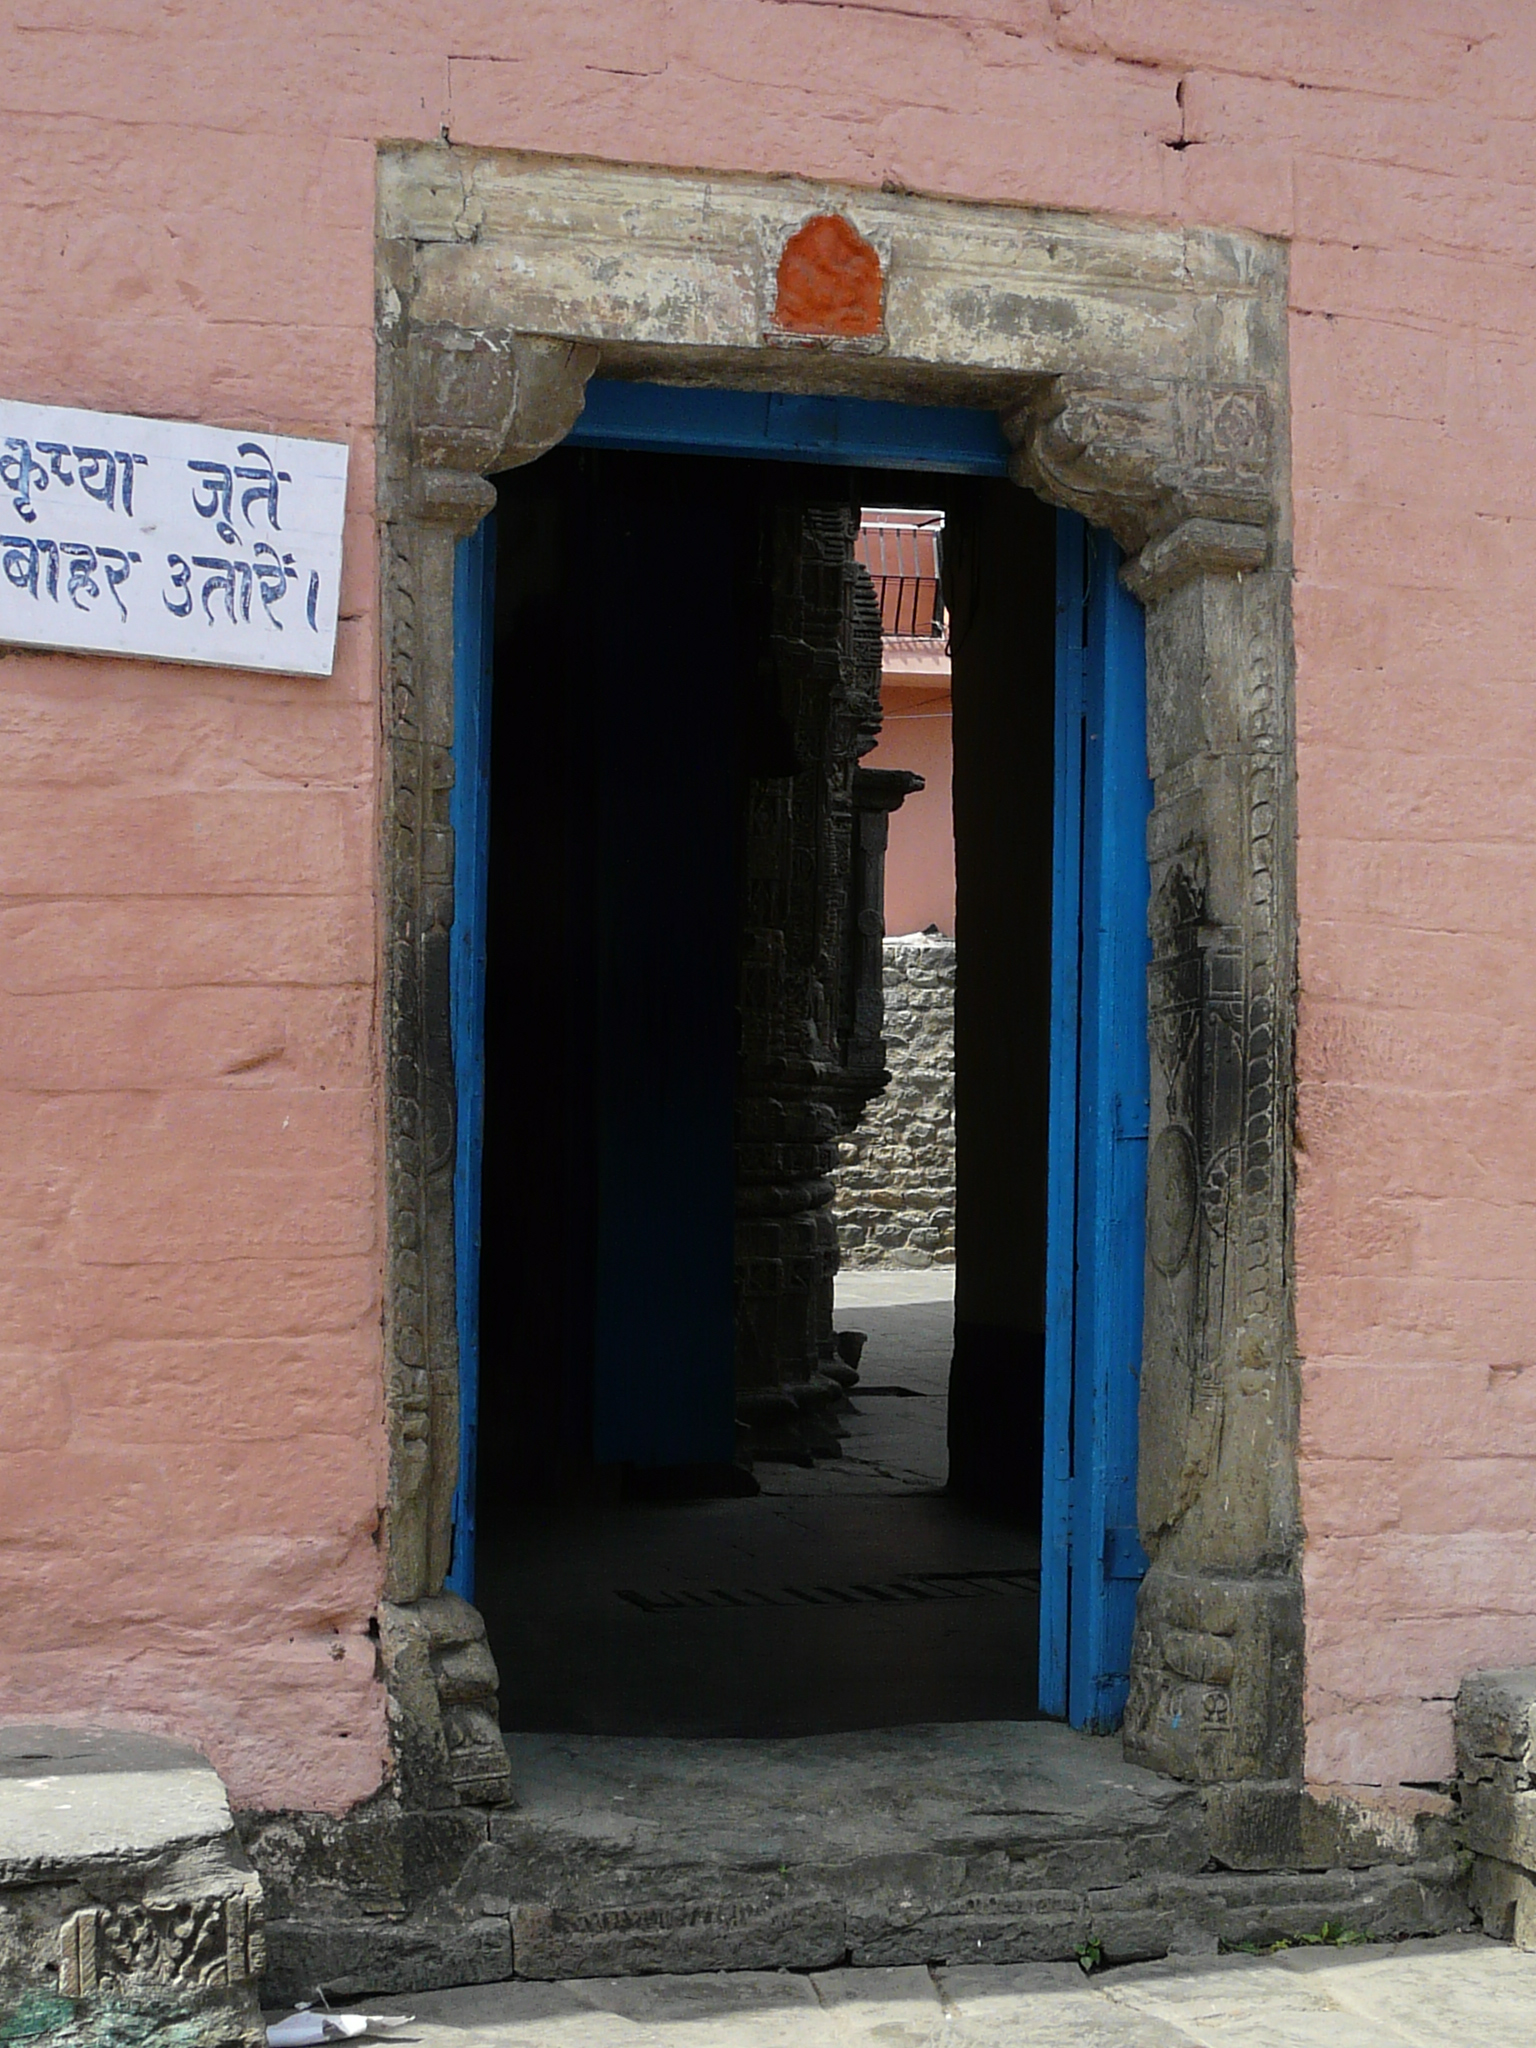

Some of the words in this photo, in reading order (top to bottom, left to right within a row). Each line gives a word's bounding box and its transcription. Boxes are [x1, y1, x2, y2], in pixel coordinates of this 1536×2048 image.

[1, 435, 149, 526] कृप्या
[187, 441, 300, 537] जूते
[1, 533, 145, 623] बाहर
[163, 541, 324, 635] उतारें ।